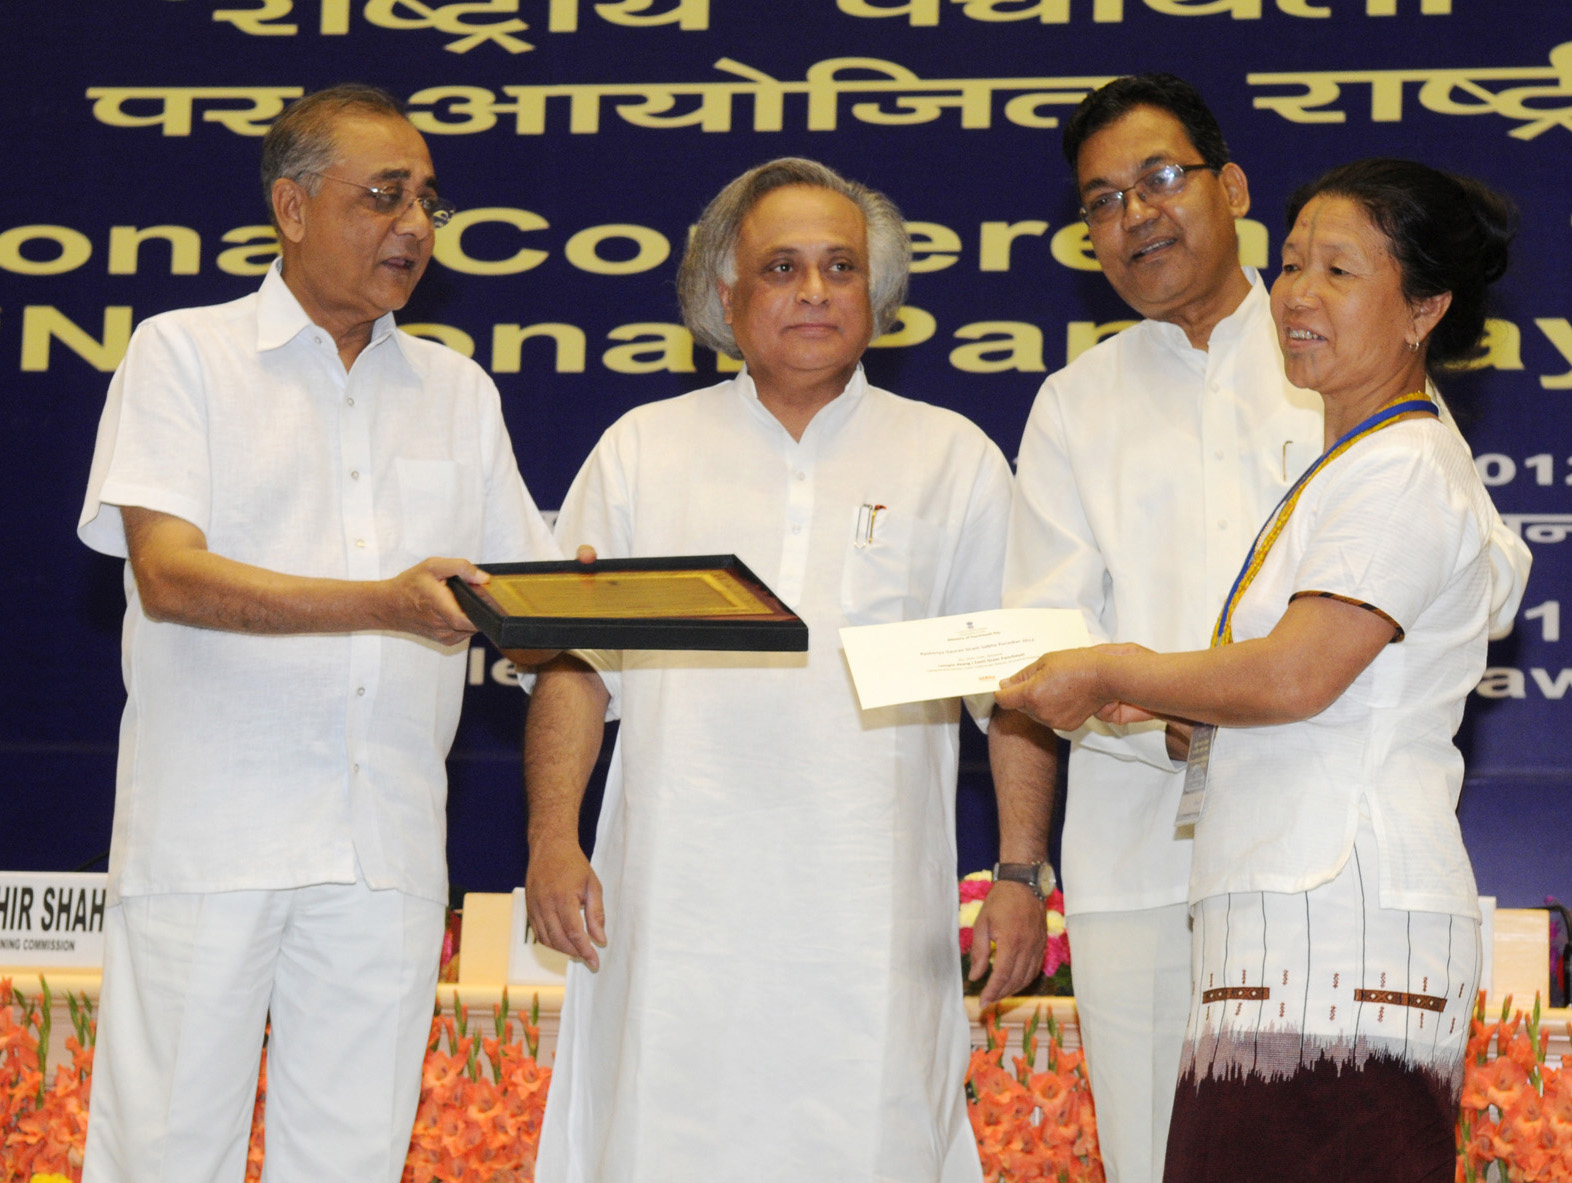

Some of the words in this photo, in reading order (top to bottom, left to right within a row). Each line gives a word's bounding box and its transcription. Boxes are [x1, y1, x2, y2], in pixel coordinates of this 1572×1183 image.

[85, 84, 305, 139] पर
[399, 51, 1139, 141] आयोजि
[0, 878, 36, 937] HIR
[33, 876, 116, 944] SHAH